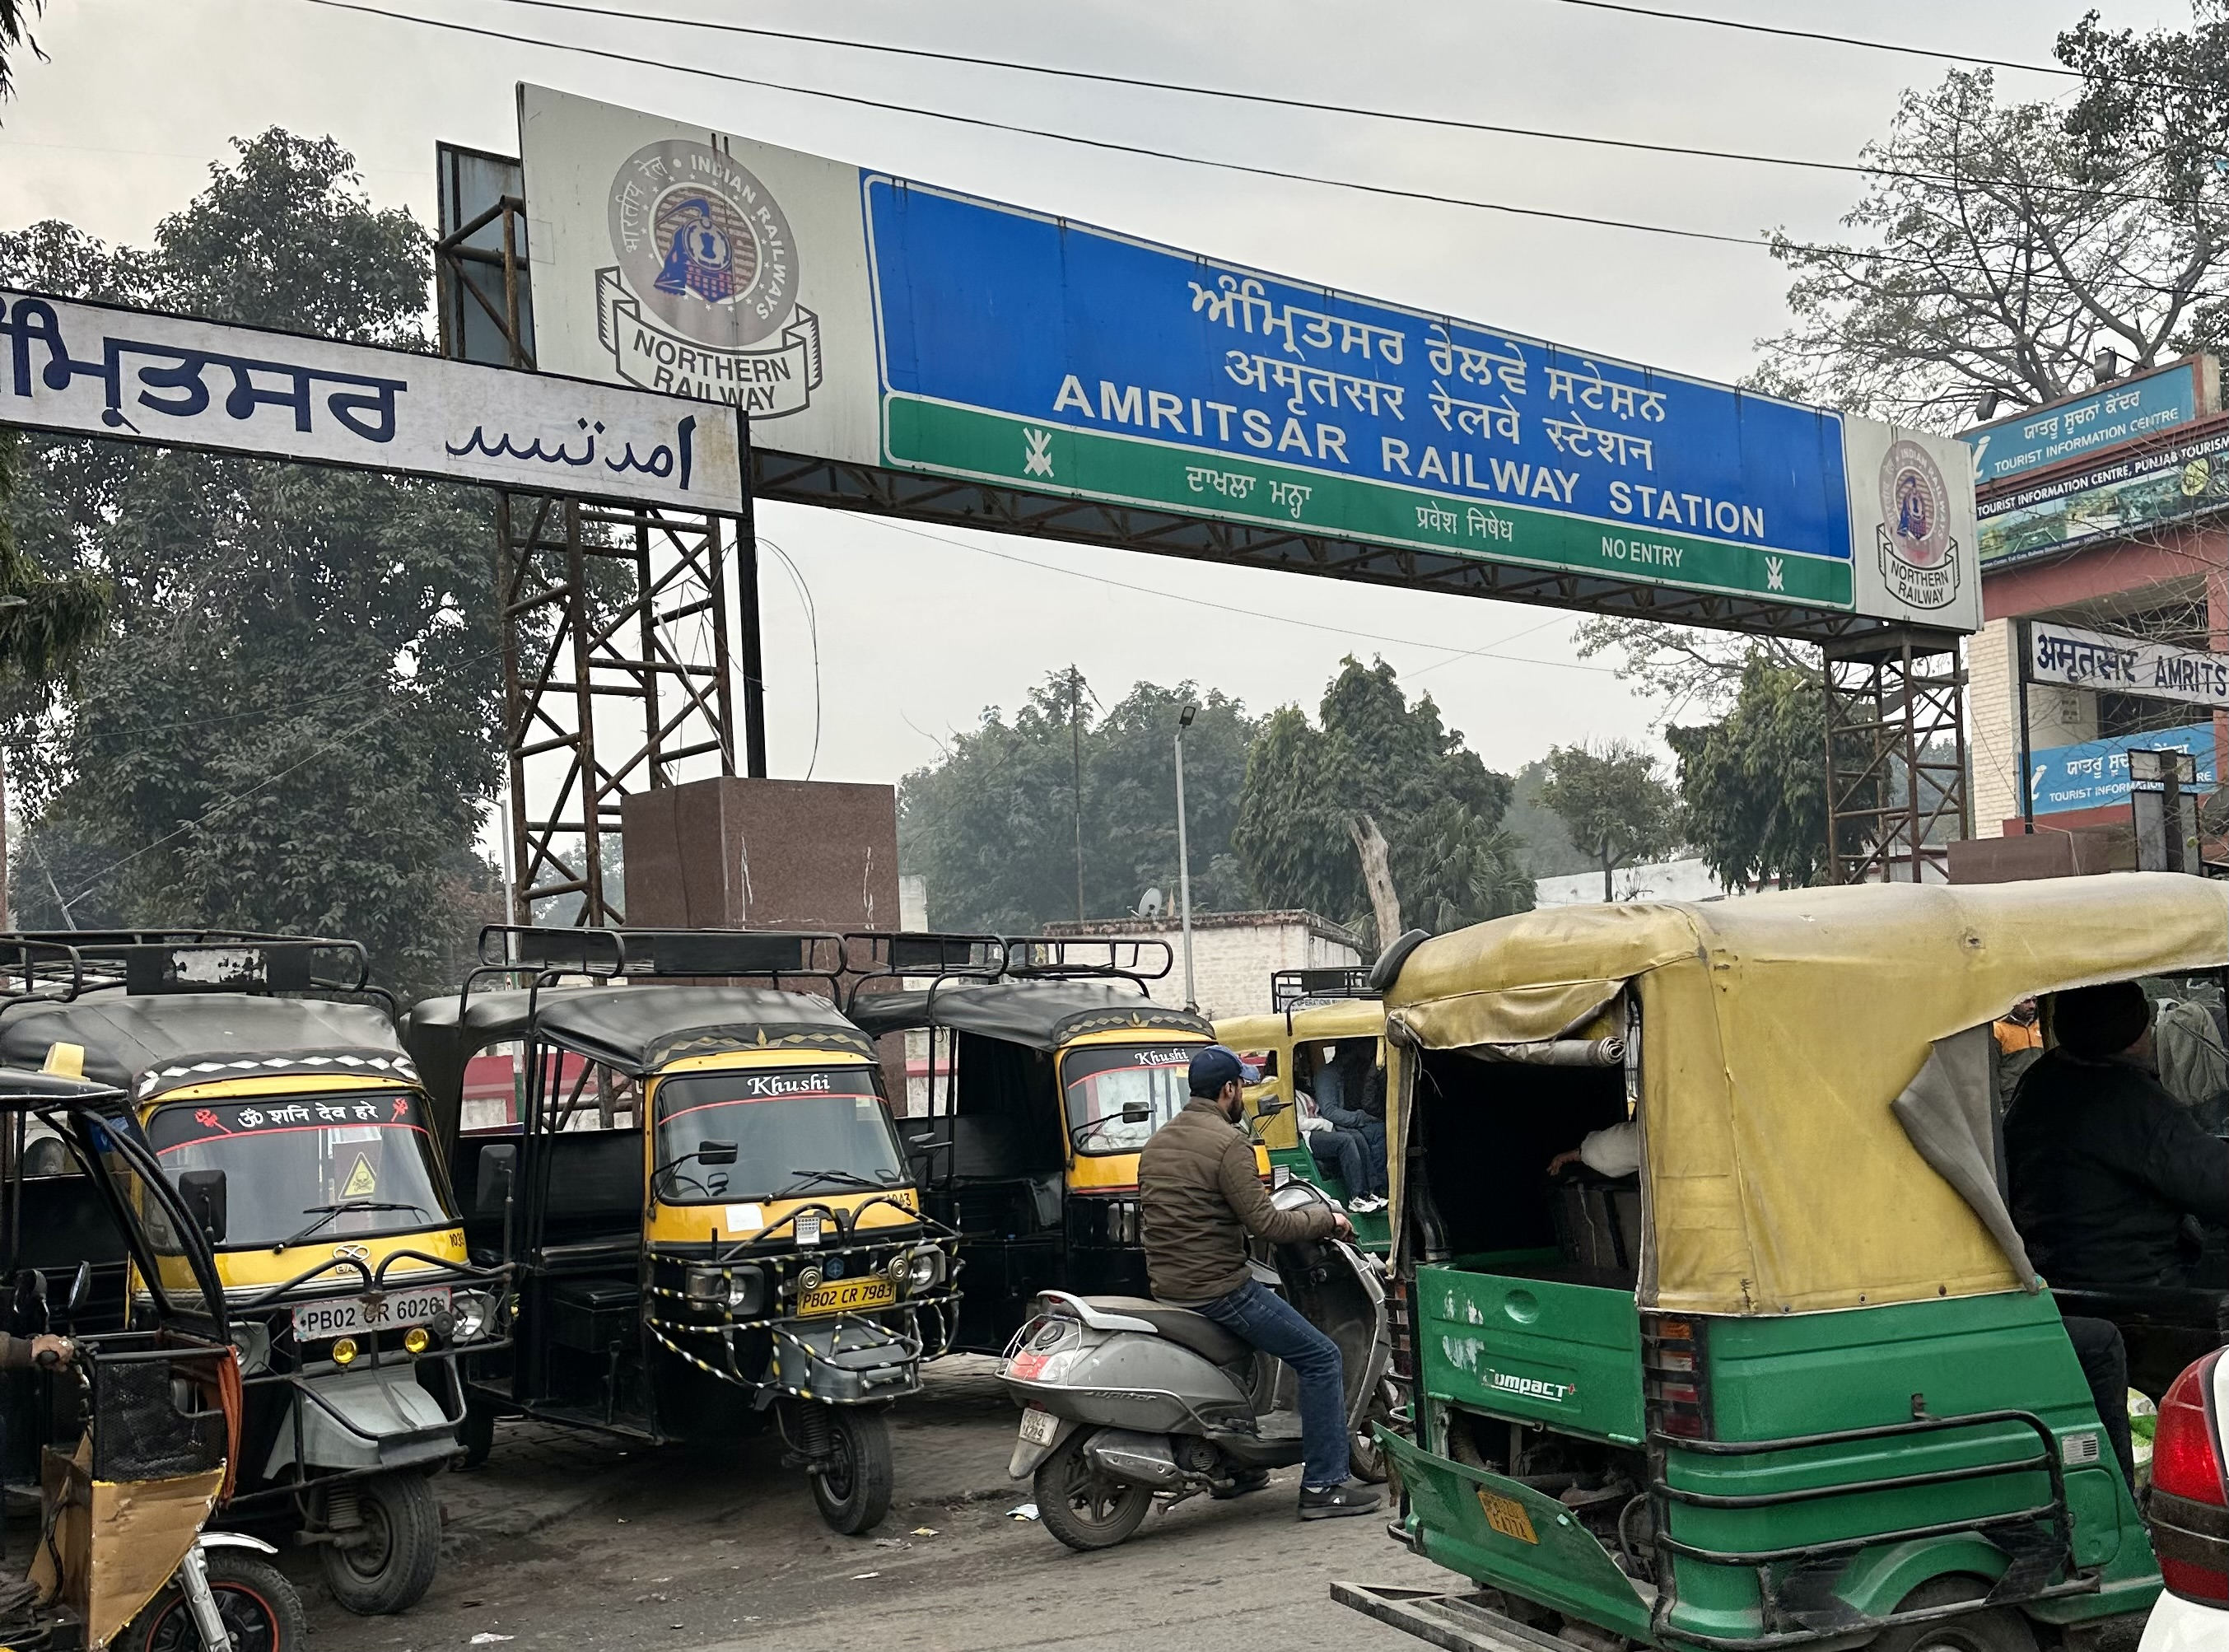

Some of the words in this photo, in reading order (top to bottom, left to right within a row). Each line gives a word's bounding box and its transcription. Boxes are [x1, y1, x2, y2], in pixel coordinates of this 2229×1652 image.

[628, 152, 673, 183] रेल
[687, 150, 760, 208] INDIAN
[611, 174, 650, 255] भारतीय
[751, 199, 789, 324] RAILWAYS
[1177, 263, 1412, 377] ਅੰਮ੍ਰਿਤਸਰ
[627, 324, 796, 385] NORTHERN
[1418, 320, 1534, 399] ਰੇਲਵੇ
[2, 295, 424, 464] ਮਿ੍ਤਸਰ
[1045, 366, 1357, 472] AMRITSAR
[1178, 462, 1258, 506] ਦਾਖਲਾ
[1260, 474, 1316, 523] ਮਨ੍ਹਾ
[1217, 345, 1410, 427] अमृतसर
[1406, 498, 1462, 537] प्रवेश
[1419, 376, 1529, 453] रेलवे
[1376, 428, 1583, 513] RAILWAY
[1461, 504, 1521, 547] निषेध
[1535, 406, 1676, 478] स्टेशन
[1537, 357, 1675, 430] ਸਟੇਸ਼ਨ
[1602, 473, 1771, 545] STATION
[1977, 495, 2017, 520] TOURIST
[1989, 446, 2045, 477] TOURIST
[2019, 412, 2061, 446] ਯਾਤਰੂ
[2016, 475, 2091, 509] INFORMATION
[2060, 394, 2101, 436] ਸੂਚਨਾਂ
[2044, 417, 2129, 461] INFORMATION
[2087, 462, 2132, 488] CENTRE,
[2101, 384, 2147, 417] ਕੇਂਦਰ
[2127, 404, 2183, 436] CENTRE
[2130, 449, 2180, 478] PUNJAB
[2179, 433, 2228, 463] TOURISM
[1597, 530, 1628, 563] NO
[1627, 535, 1686, 572] ENTRY
[1886, 556, 1953, 587] NORTHERN
[1893, 579, 1949, 606] RAILWAY
[2031, 632, 2144, 693] अमृतसर
[2151, 647, 2227, 702] AMRITS
[2061, 754, 2107, 784] ਯਾਤਰੂ
[2046, 784, 2094, 806] TOURIST
[1126, 1047, 1196, 1070] Khushi
[741, 1072, 836, 1099] Khushi
[232, 1104, 268, 1134] ॐ
[263, 1098, 313, 1129] शनि
[310, 1098, 351, 1124] देव
[347, 1094, 384, 1123] हरे
[304, 1304, 358, 1335] PB02
[361, 1296, 394, 1327] CR
[390, 1294, 444, 1323] 6026
[799, 1286, 839, 1314] PB02
[838, 1285, 861, 1309] CR
[860, 1277, 893, 1305] 7983
[1477, 1360, 1568, 1406] umpact